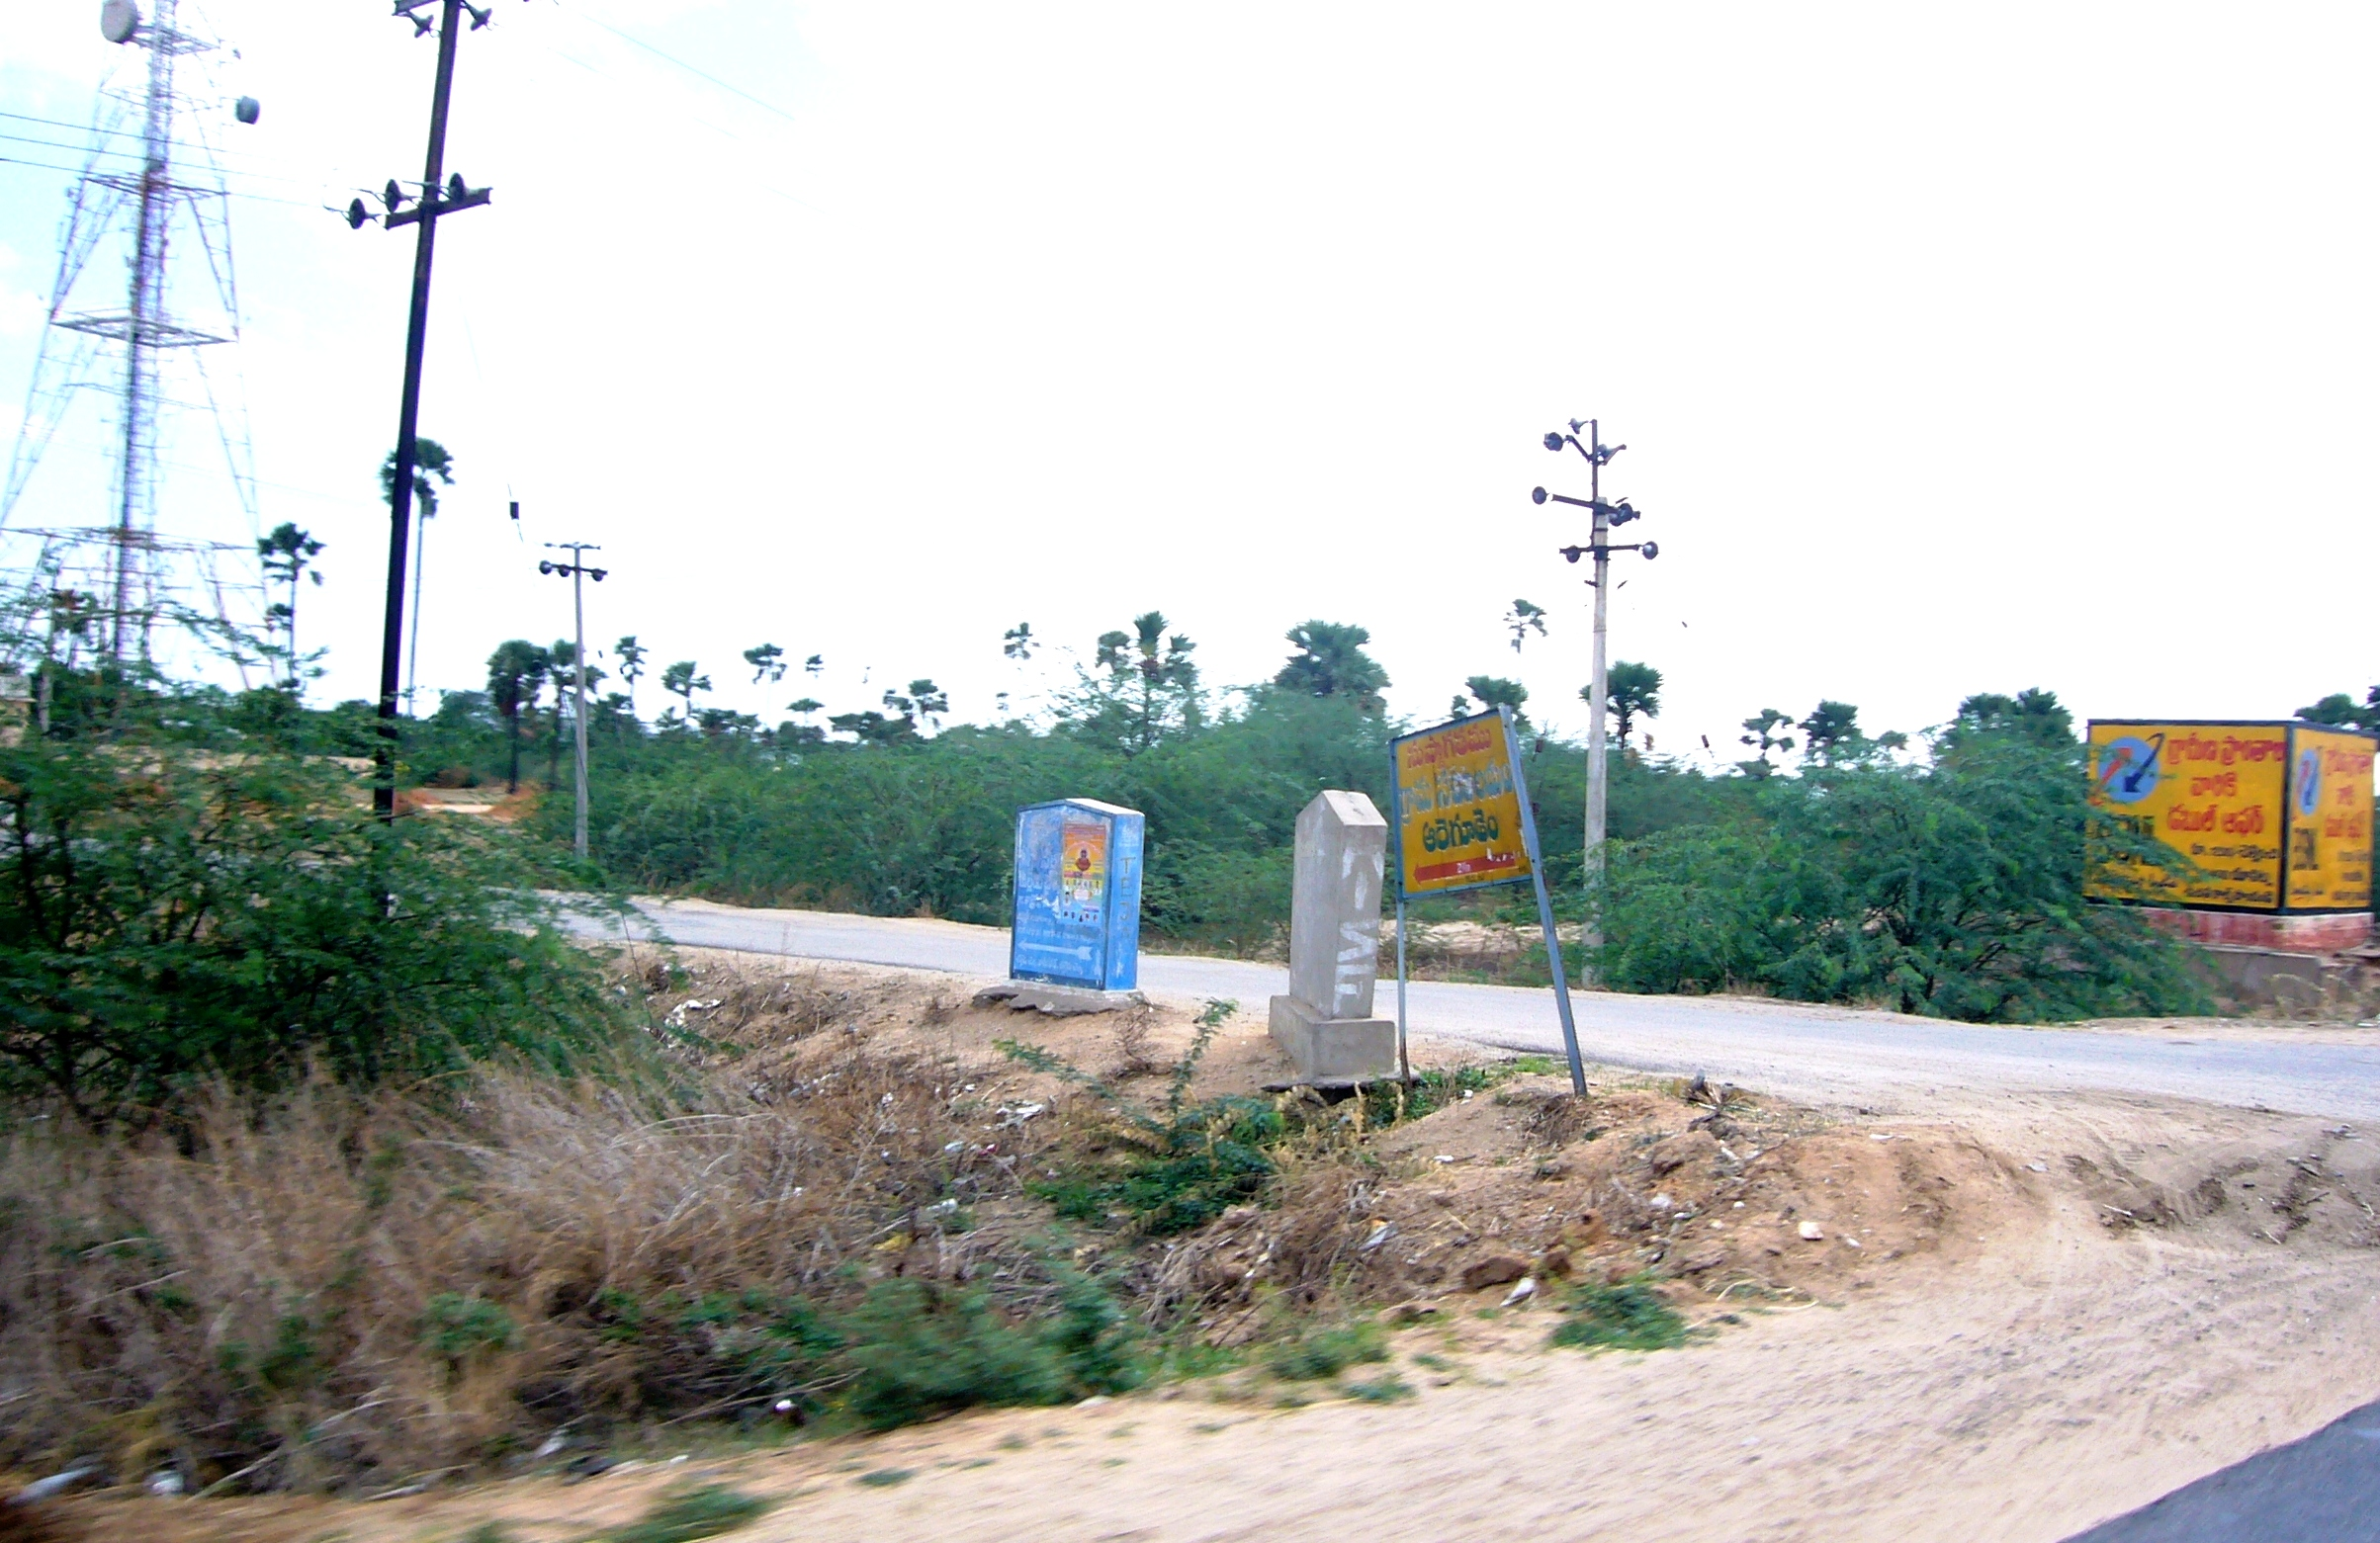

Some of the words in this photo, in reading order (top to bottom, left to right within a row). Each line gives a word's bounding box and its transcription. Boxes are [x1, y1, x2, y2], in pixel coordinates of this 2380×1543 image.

[1403, 713, 1498, 770] సుసాగతము
[1419, 799, 1505, 857] ఆలెగూడెం